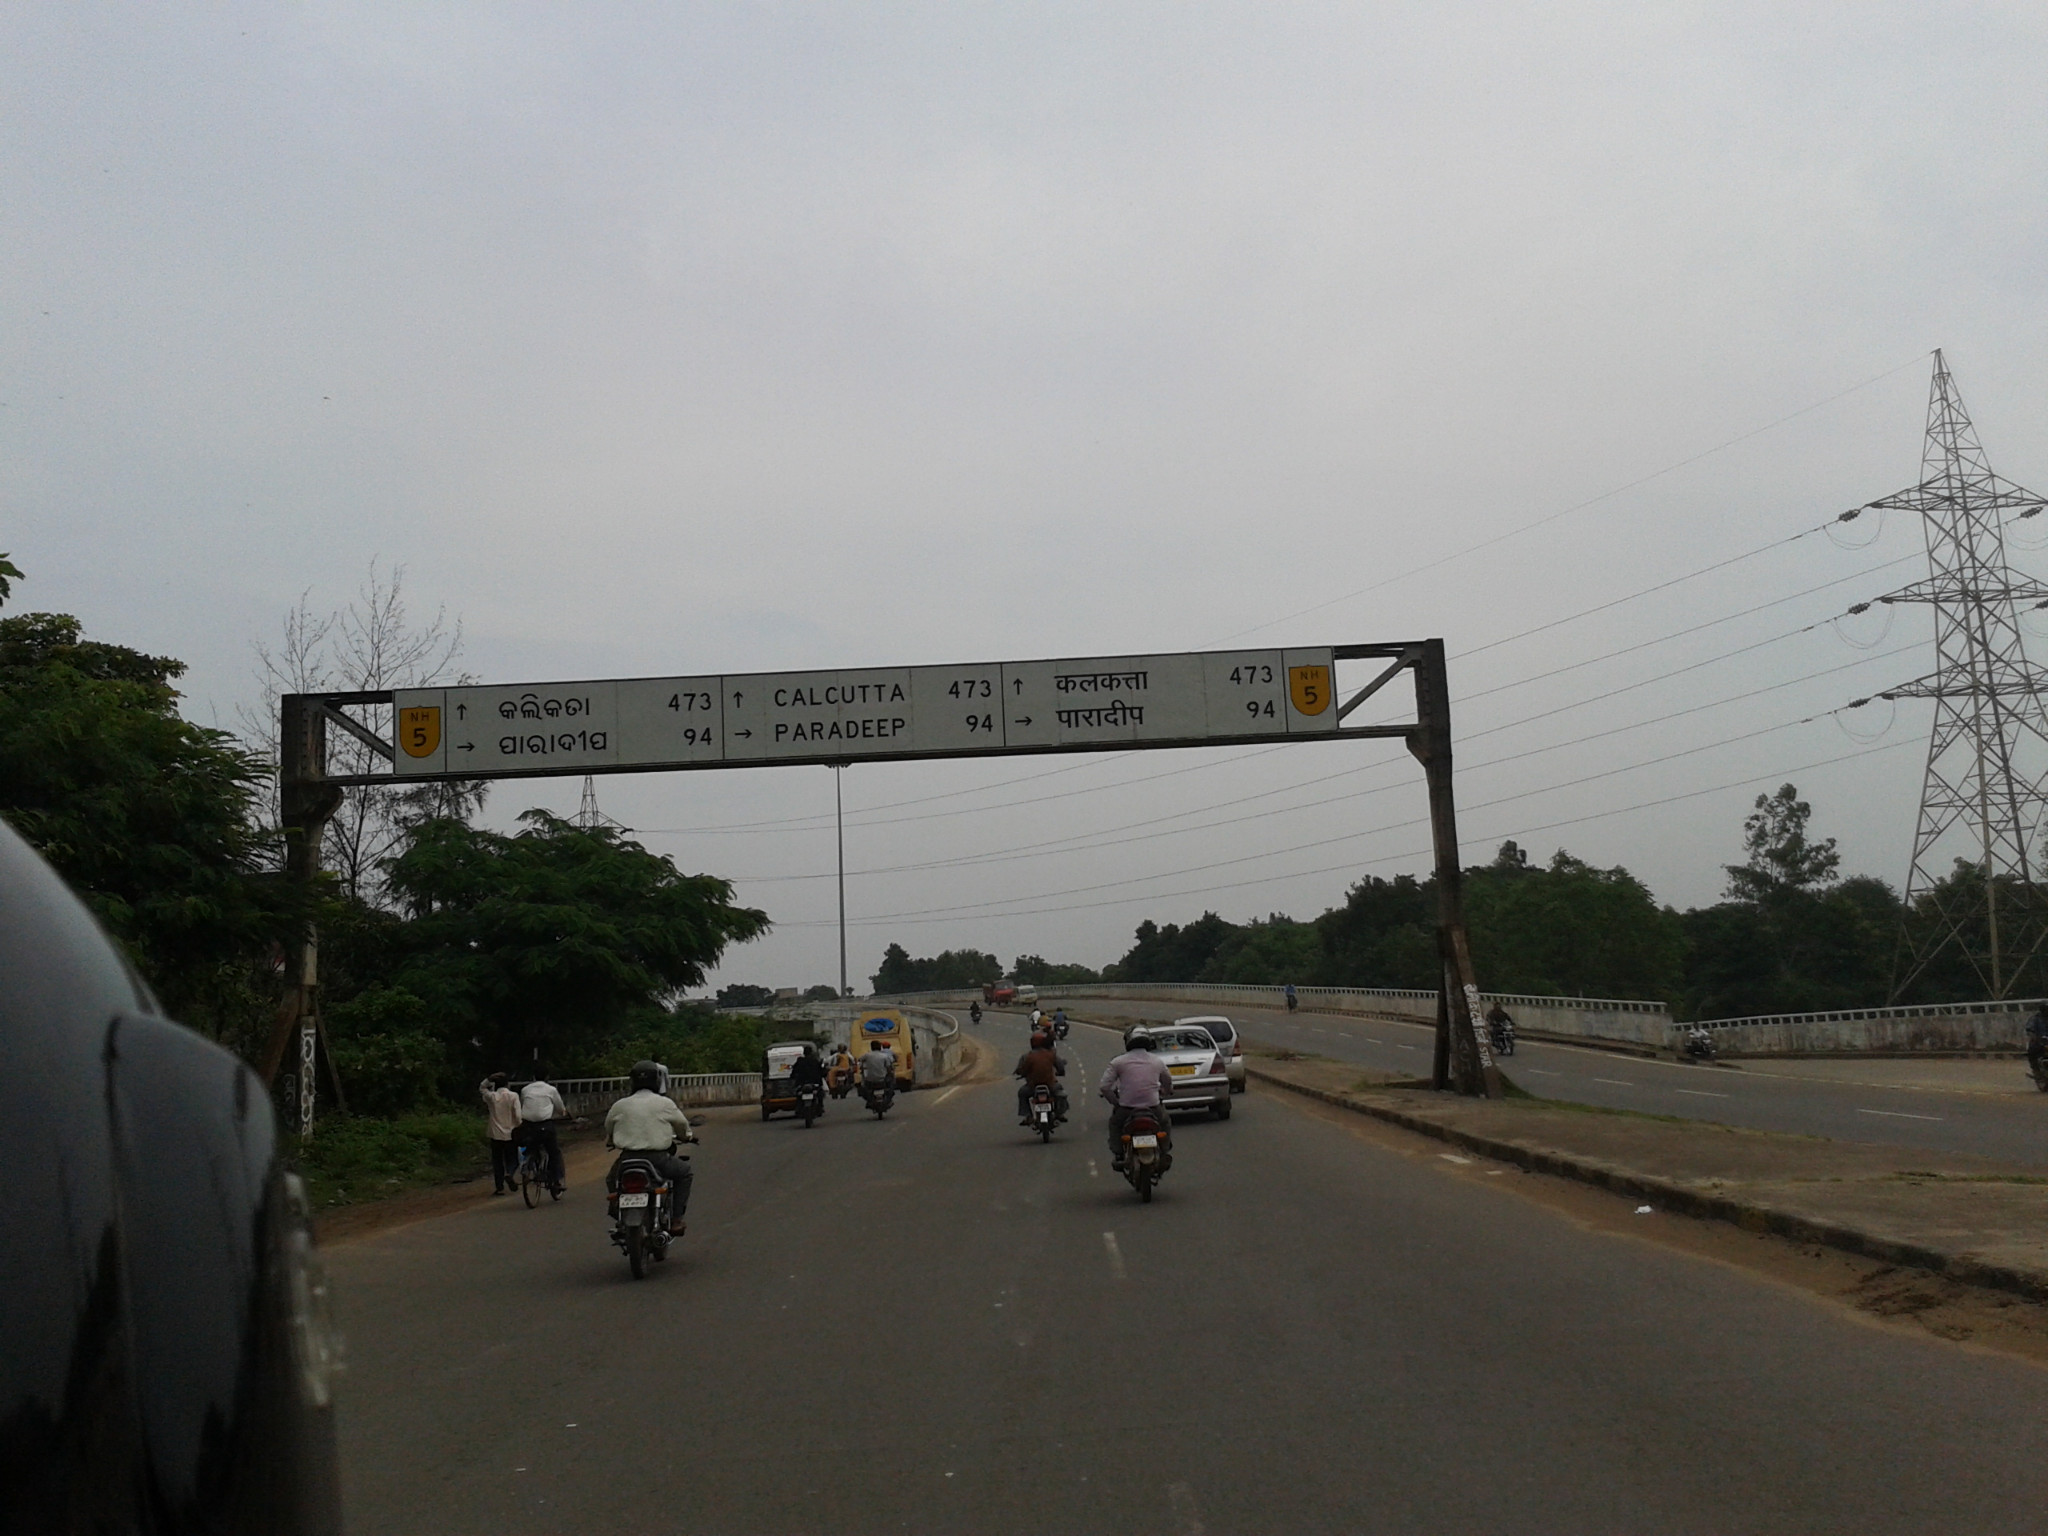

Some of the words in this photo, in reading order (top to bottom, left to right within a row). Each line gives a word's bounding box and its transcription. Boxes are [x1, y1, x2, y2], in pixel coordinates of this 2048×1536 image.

[493, 684, 593, 725] କଲିକତା
[496, 728, 611, 759] ପାରାଦୀପ
[661, 687, 716, 716] 473
[677, 722, 718, 753] 94
[769, 680, 909, 711] CALCUTTA
[771, 711, 910, 745] PARADEEP
[948, 672, 993, 701] 473
[962, 712, 1005, 735] 94
[1055, 693, 1147, 730] पारादीप
[1051, 666, 1152, 699] कलकत्ता
[1226, 659, 1276, 689] 473
[1243, 694, 1279, 723] 94
[1294, 660, 1323, 689] NH